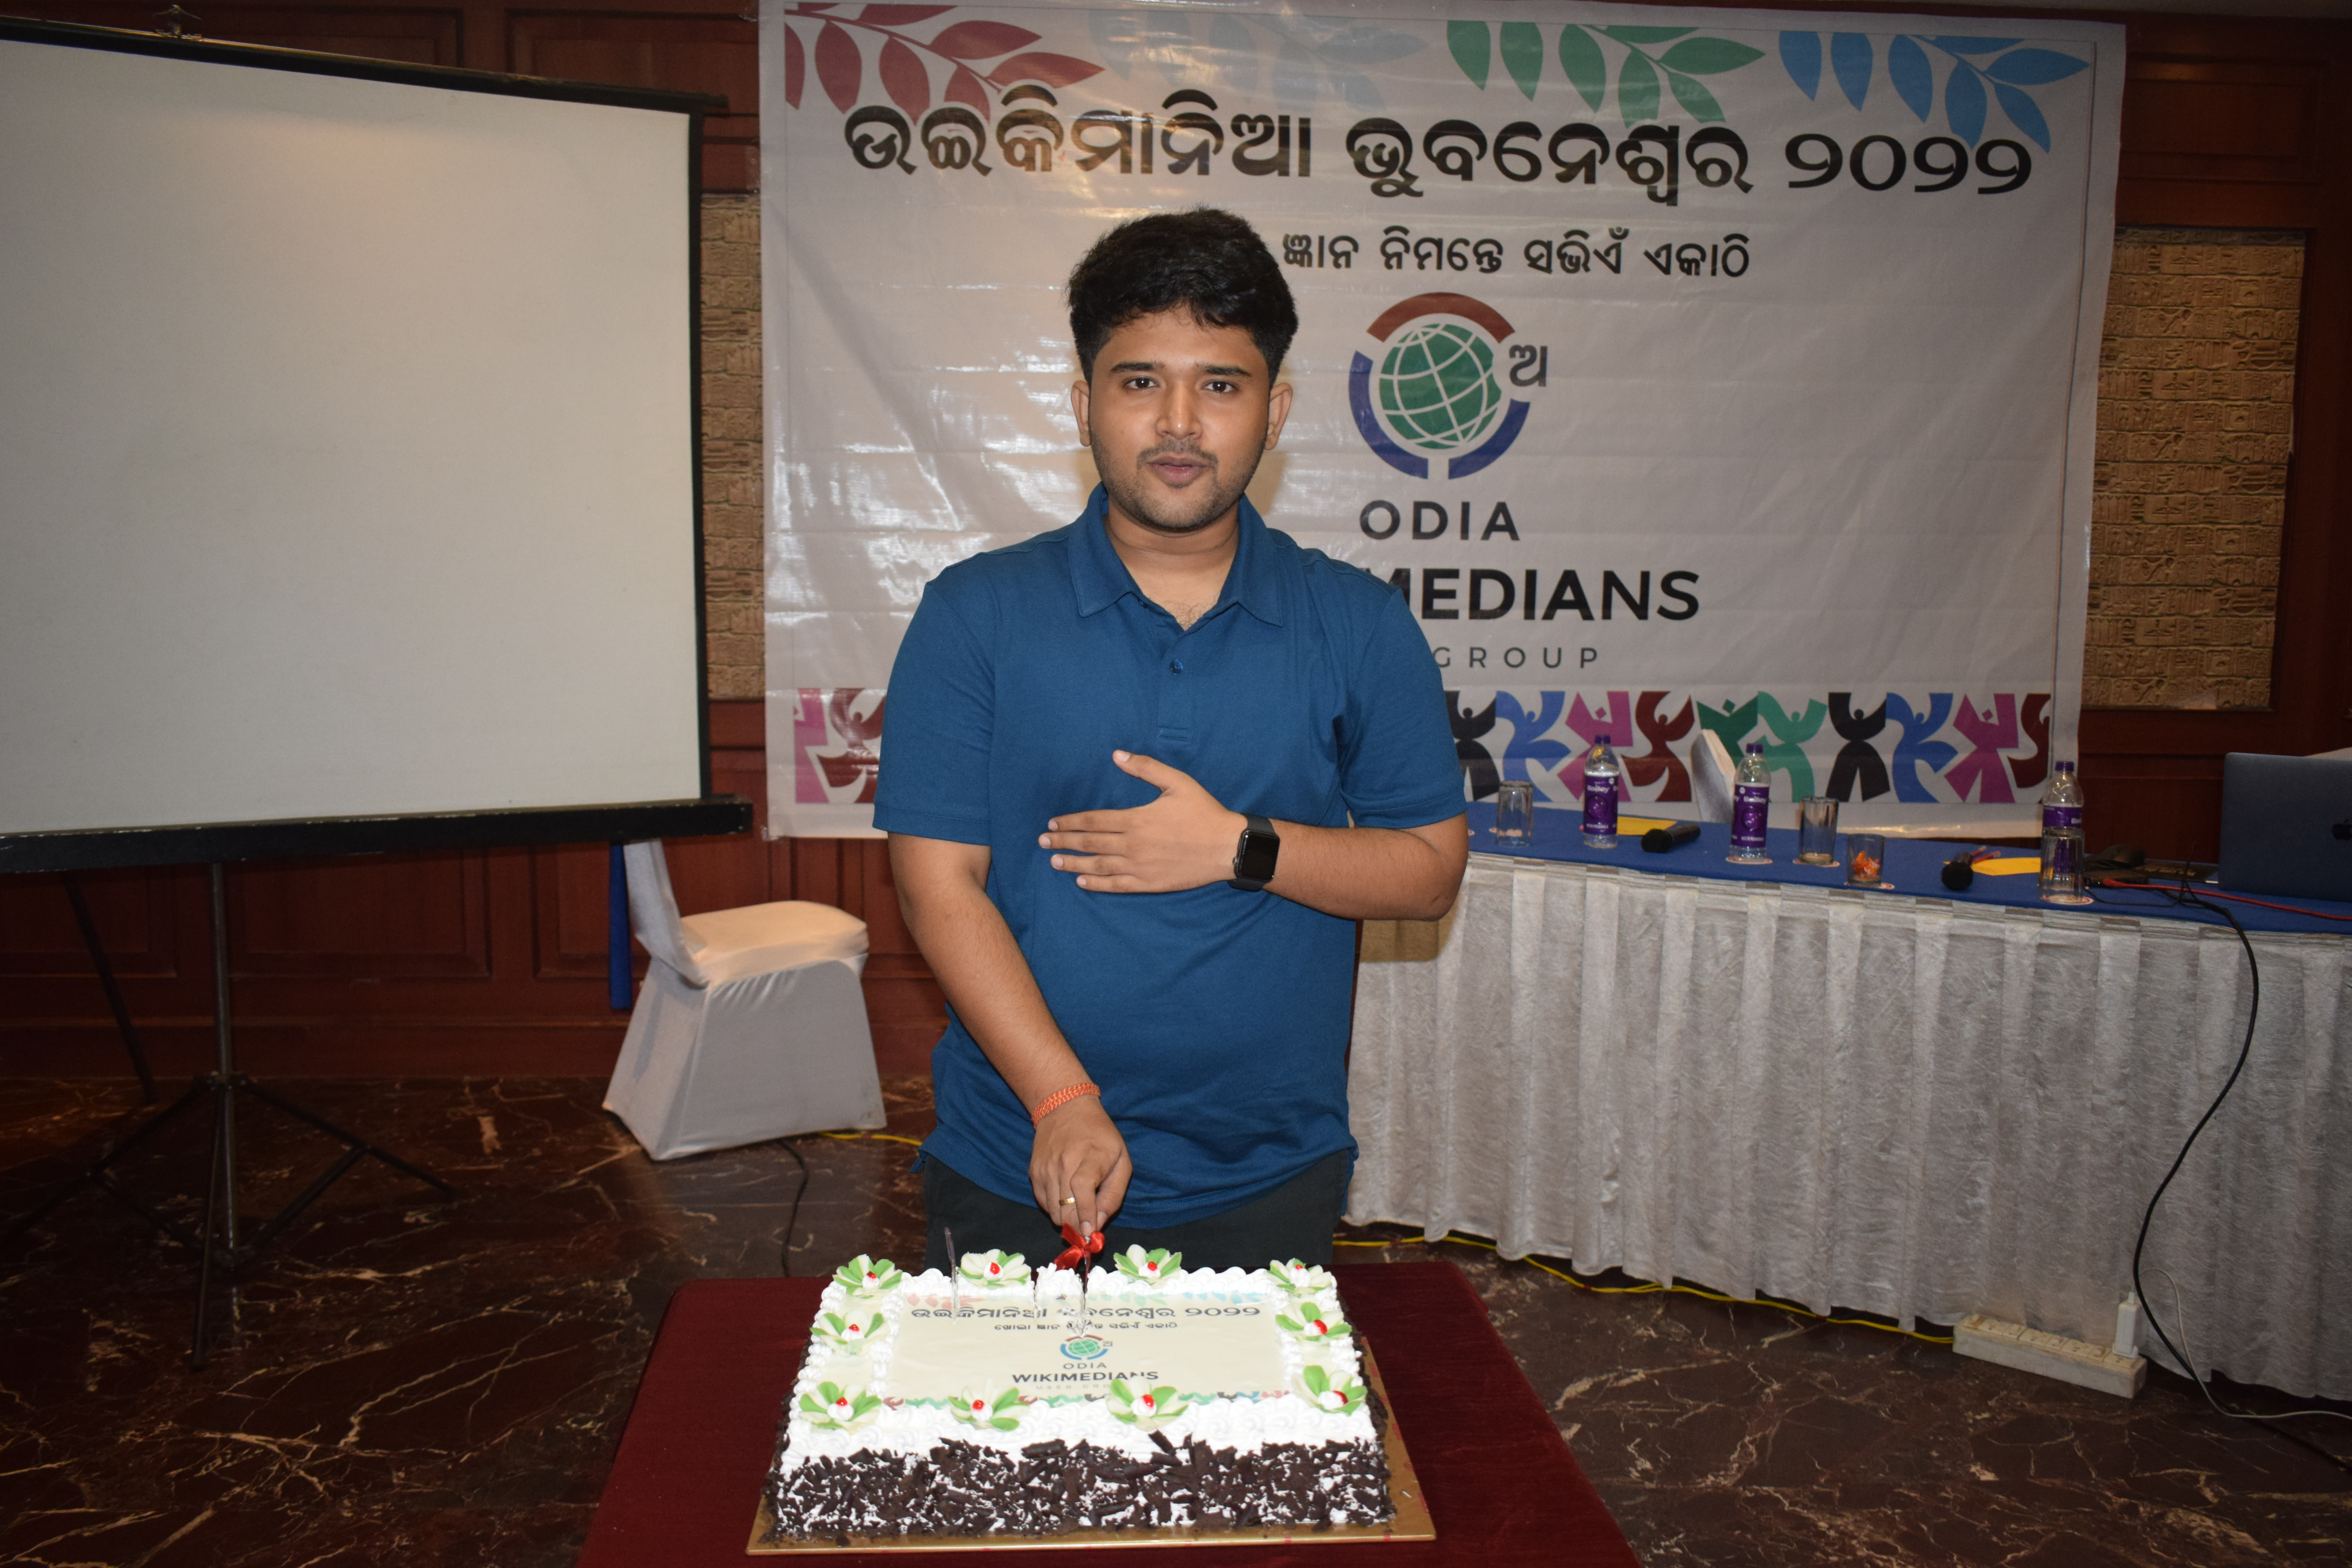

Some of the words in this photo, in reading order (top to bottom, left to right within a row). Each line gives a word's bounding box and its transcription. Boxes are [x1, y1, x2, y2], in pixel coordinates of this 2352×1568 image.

[836, 68, 1316, 182] ଉଇକିମାନିଆ
[1341, 114, 1759, 212] ଭୁବନେଶ୍ବର
[1780, 129, 2040, 201] ୨୦୨୨
[1277, 226, 1365, 274] ଜ୍ଞାନ
[1376, 224, 1508, 279] ନିମନ୍ତେ
[1519, 222, 1635, 281] ସଭିଏଁ
[1642, 230, 1753, 285] ଏକାଠି
[1357, 494, 1521, 543] ODIA
[1391, 563, 1705, 625] EDIANS
[1426, 641, 1601, 671] GROUP